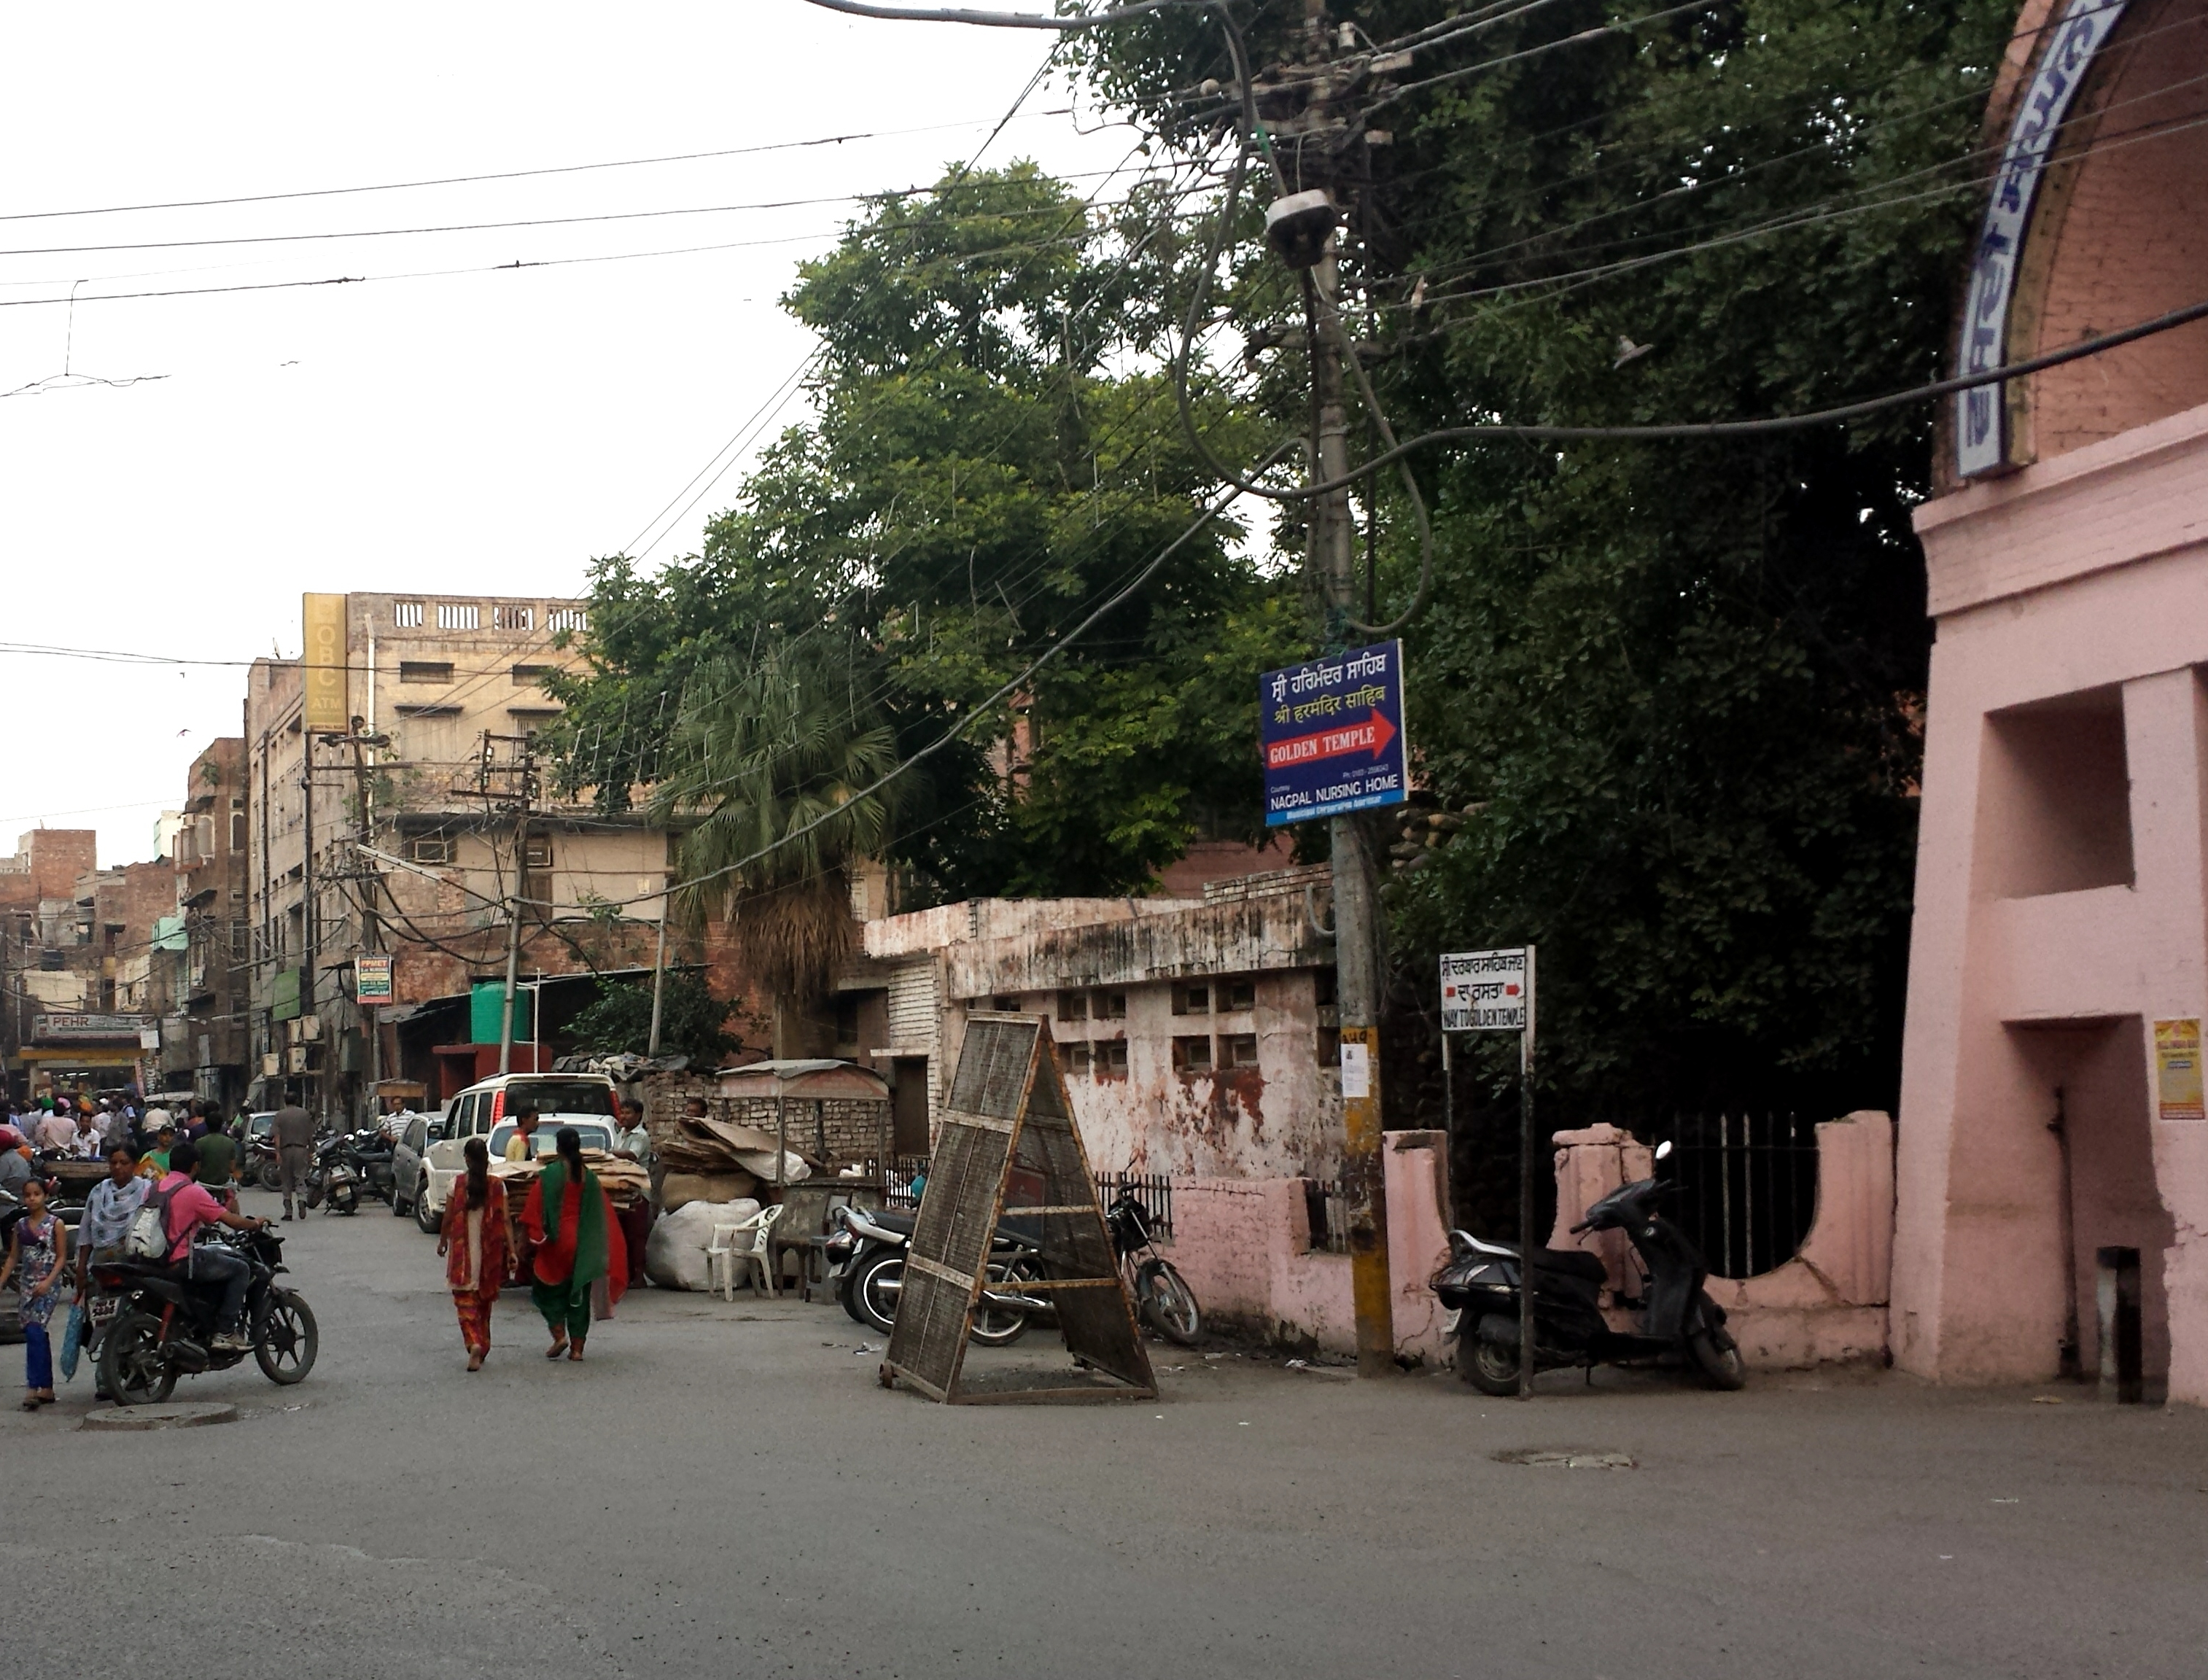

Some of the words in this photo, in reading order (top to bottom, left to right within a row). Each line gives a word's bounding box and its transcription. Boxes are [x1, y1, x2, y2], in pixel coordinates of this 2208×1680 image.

[1991, 1, 2108, 217] ਸਘਨ
[1959, 216, 2021, 456] ਵਸਦੀ
[1265, 672, 1289, 707] ਸ੍ਰੀ
[1269, 701, 1291, 726] श्री
[1288, 656, 1344, 700] ਹਰਿਮੰਦਰ
[1290, 691, 1345, 728] हरमंदिर
[1342, 682, 1390, 712] साहिब
[1345, 646, 1390, 683] ਸਾਹਿਬ
[1268, 736, 1322, 769] GOLDEN
[1321, 723, 1377, 758] TEMPLE
[1268, 789, 1313, 812] NAGPAL
[1312, 778, 1364, 805] NURSING
[1363, 770, 1402, 796] HOME
[1455, 982, 1473, 1006] ਦਾ
[1471, 980, 1507, 1006] ਰਸਤਾ
[49, 1013, 90, 1029] PEHR